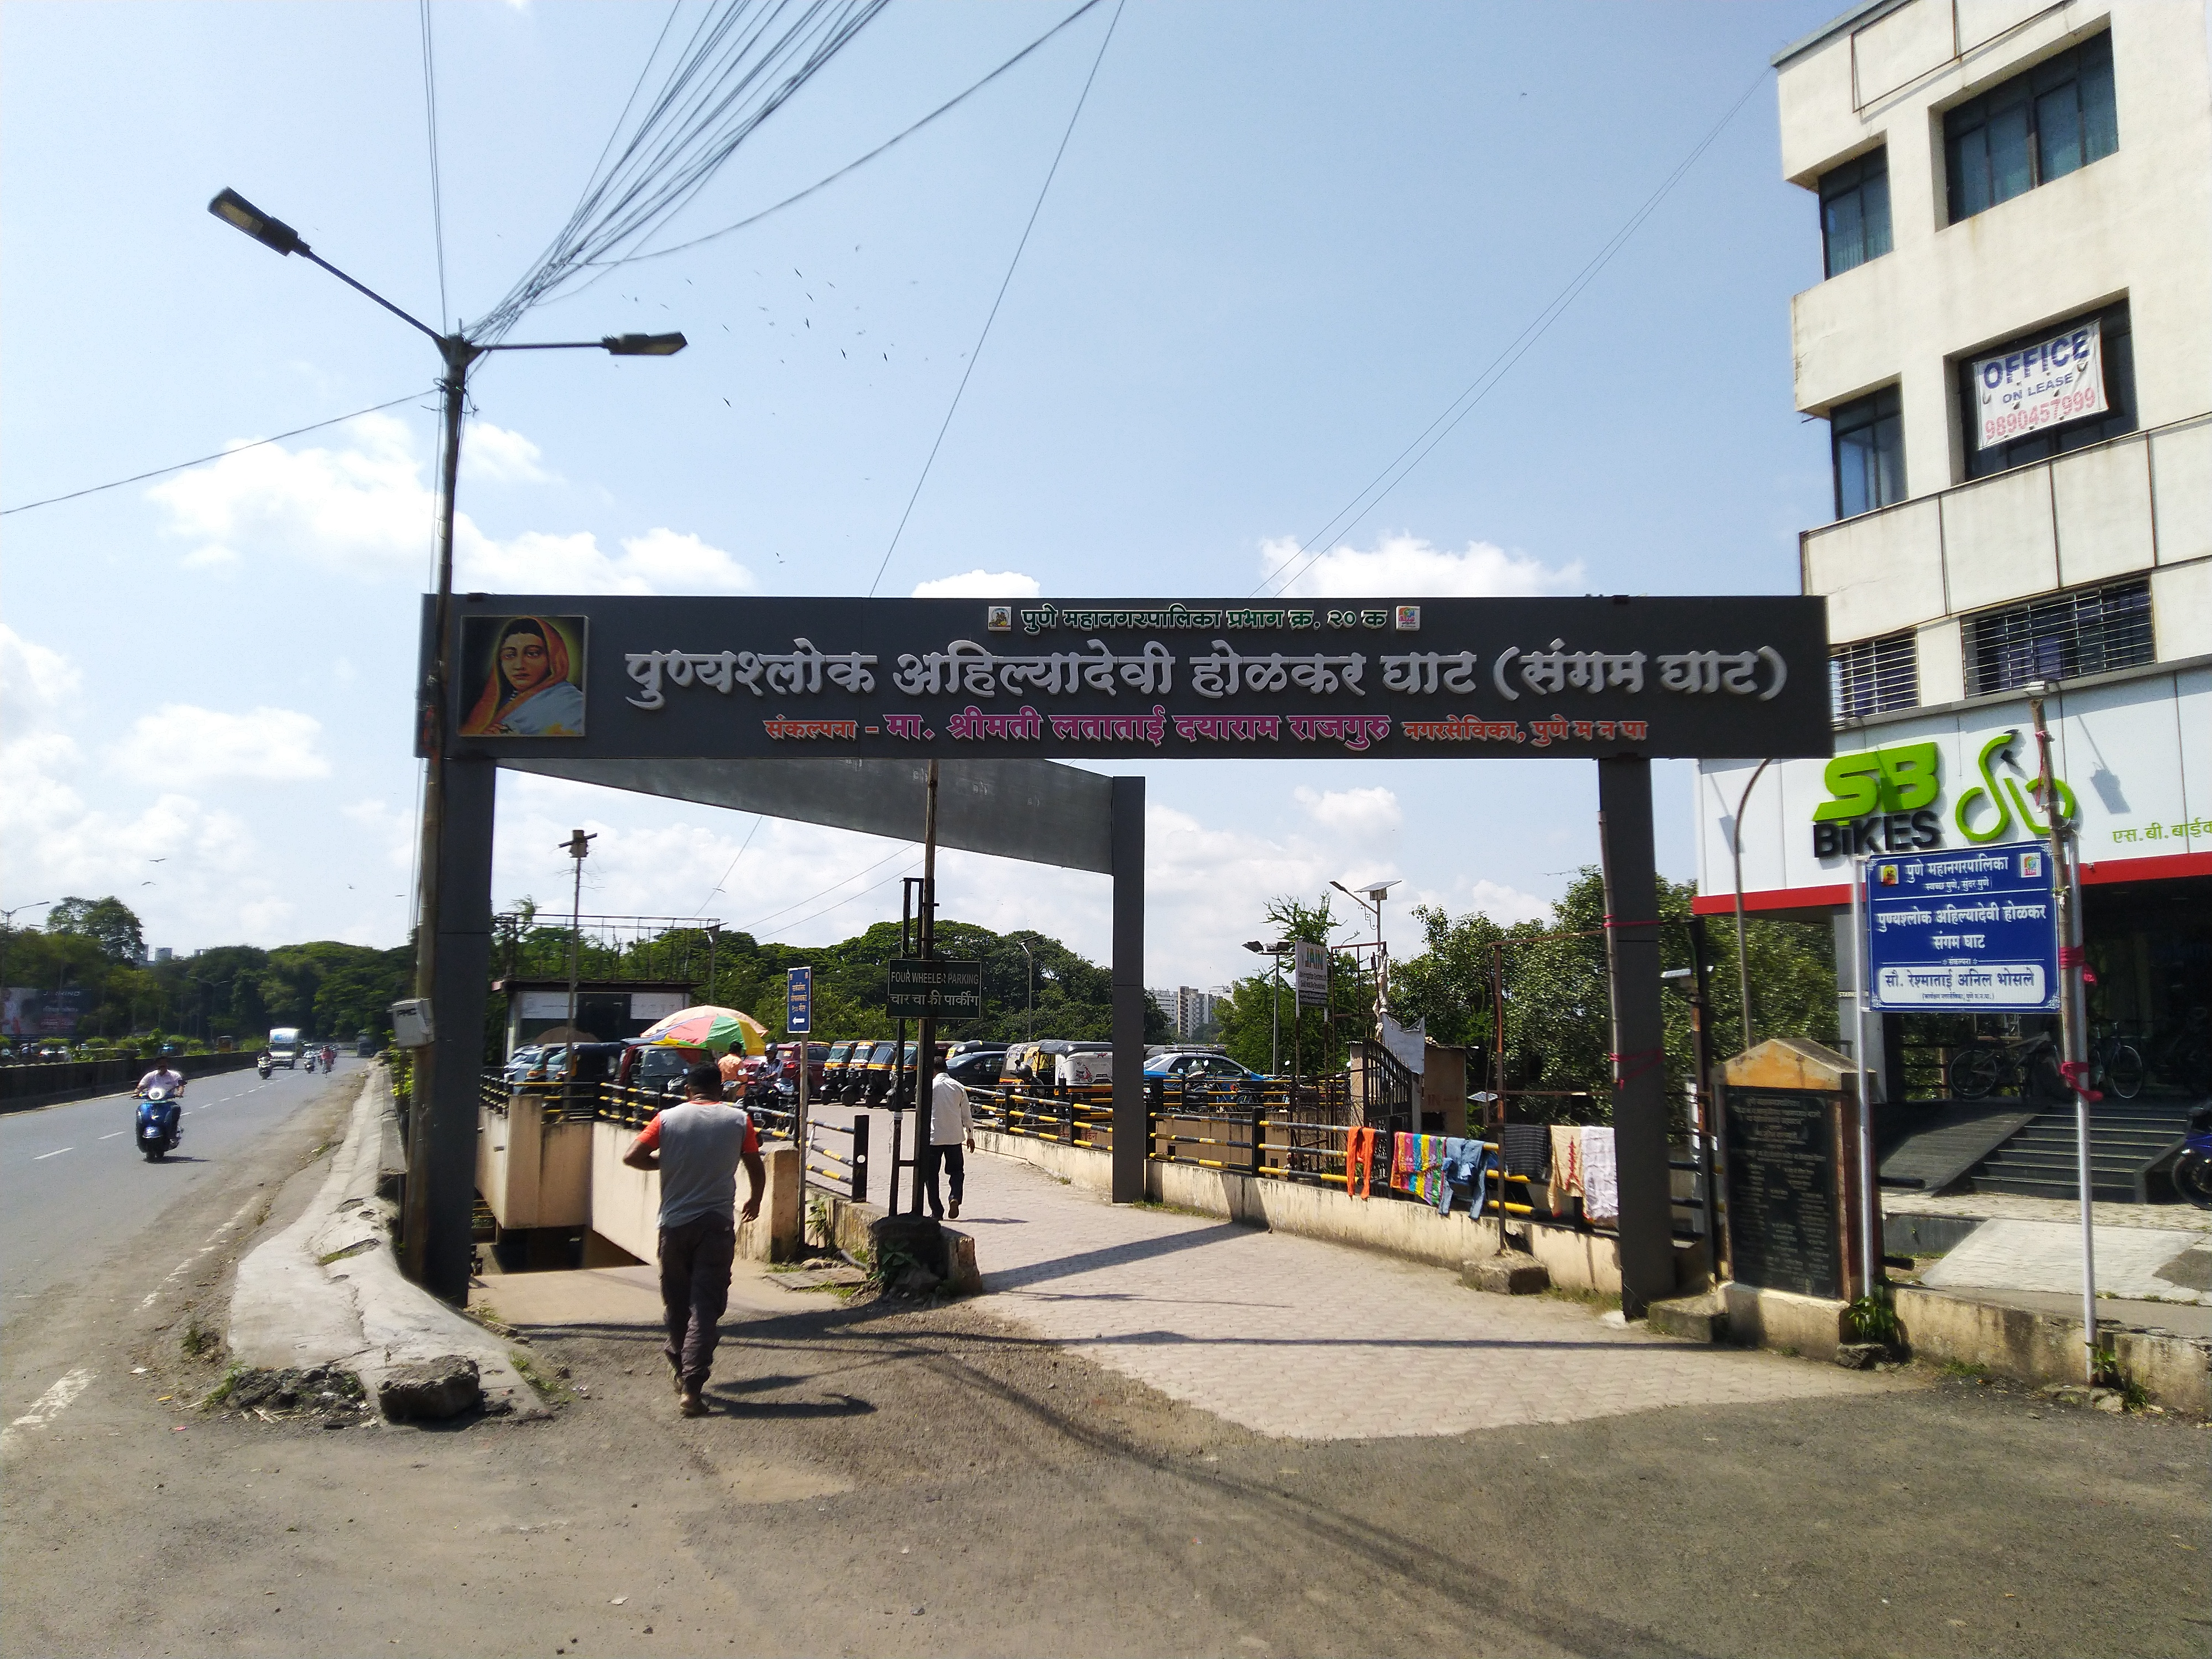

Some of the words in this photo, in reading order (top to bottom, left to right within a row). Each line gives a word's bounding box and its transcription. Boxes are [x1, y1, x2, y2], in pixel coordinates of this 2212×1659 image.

[1977, 322, 2099, 395] OFFICE
[1998, 383, 2026, 409] ON
[2023, 370, 2080, 404] LEASE
[1981, 383, 2099, 447] 9890457999
[1017, 601, 1062, 638] पुणे
[1060, 599, 1224, 635] महानगरपालिका
[1223, 606, 1288, 635] प्रभाग
[1287, 607, 1325, 635] क्र.
[1322, 604, 1361, 635] २०
[1358, 606, 1392, 633] क
[613, 634, 882, 718] पुण्यश्लोक
[888, 635, 1185, 704] अहिल्यादेवी
[1182, 637, 1373, 704] होळकर
[1375, 646, 1481, 701] घाट
[1485, 629, 1652, 711] (संगम
[1653, 639, 1792, 711] घाट)
[754, 711, 884, 744] संकल्पना -
[877, 708, 938, 748] मा.
[940, 702, 1046, 748] श्रीमती
[1046, 700, 1170, 750] लताताई
[1167, 710, 1284, 752] दयाराम
[1283, 709, 1397, 755] राजगुरु
[1396, 708, 1529, 752] नगरसेविका,
[1524, 712, 1575, 752] पुणे
[1570, 714, 1656, 749] मनपा
[1806, 733, 1940, 821] SB
[1809, 806, 1945, 864] BIKES
[2107, 820, 2171, 851] एस.बी.
[1901, 857, 1925, 887] पुणे
[1921, 880, 1946, 893] स्वच्छ
[1945, 877, 1961, 894] पुणे,
[1926, 851, 2012, 879] महानगरपालिका
[1960, 876, 1978, 891] सुंदर
[1976, 874, 1996, 893] पुणे
[1875, 901, 1935, 935] पुण्यश्लोक
[1935, 899, 2006, 928] अहिल्यादेवी
[2000, 896, 2050, 928] होळकर
[1301, 942, 1326, 972] JAIN
[1931, 930, 1962, 955] संगम
[1961, 930, 1987, 951] घाट
[890, 969, 912, 985] FOUR
[911, 969, 948, 985] WHEELER
[946, 969, 980, 986] PARKING
[1884, 968, 1907, 992] सौ.
[1904, 966, 1955, 992] रेश्माताई
[1957, 966, 1997, 989] अनिल
[1995, 965, 2039, 990] भोसले
[889, 989, 912, 1009] चार
[912, 988, 943, 1008] चाकी
[943, 989, 980, 1009] पार्कींग